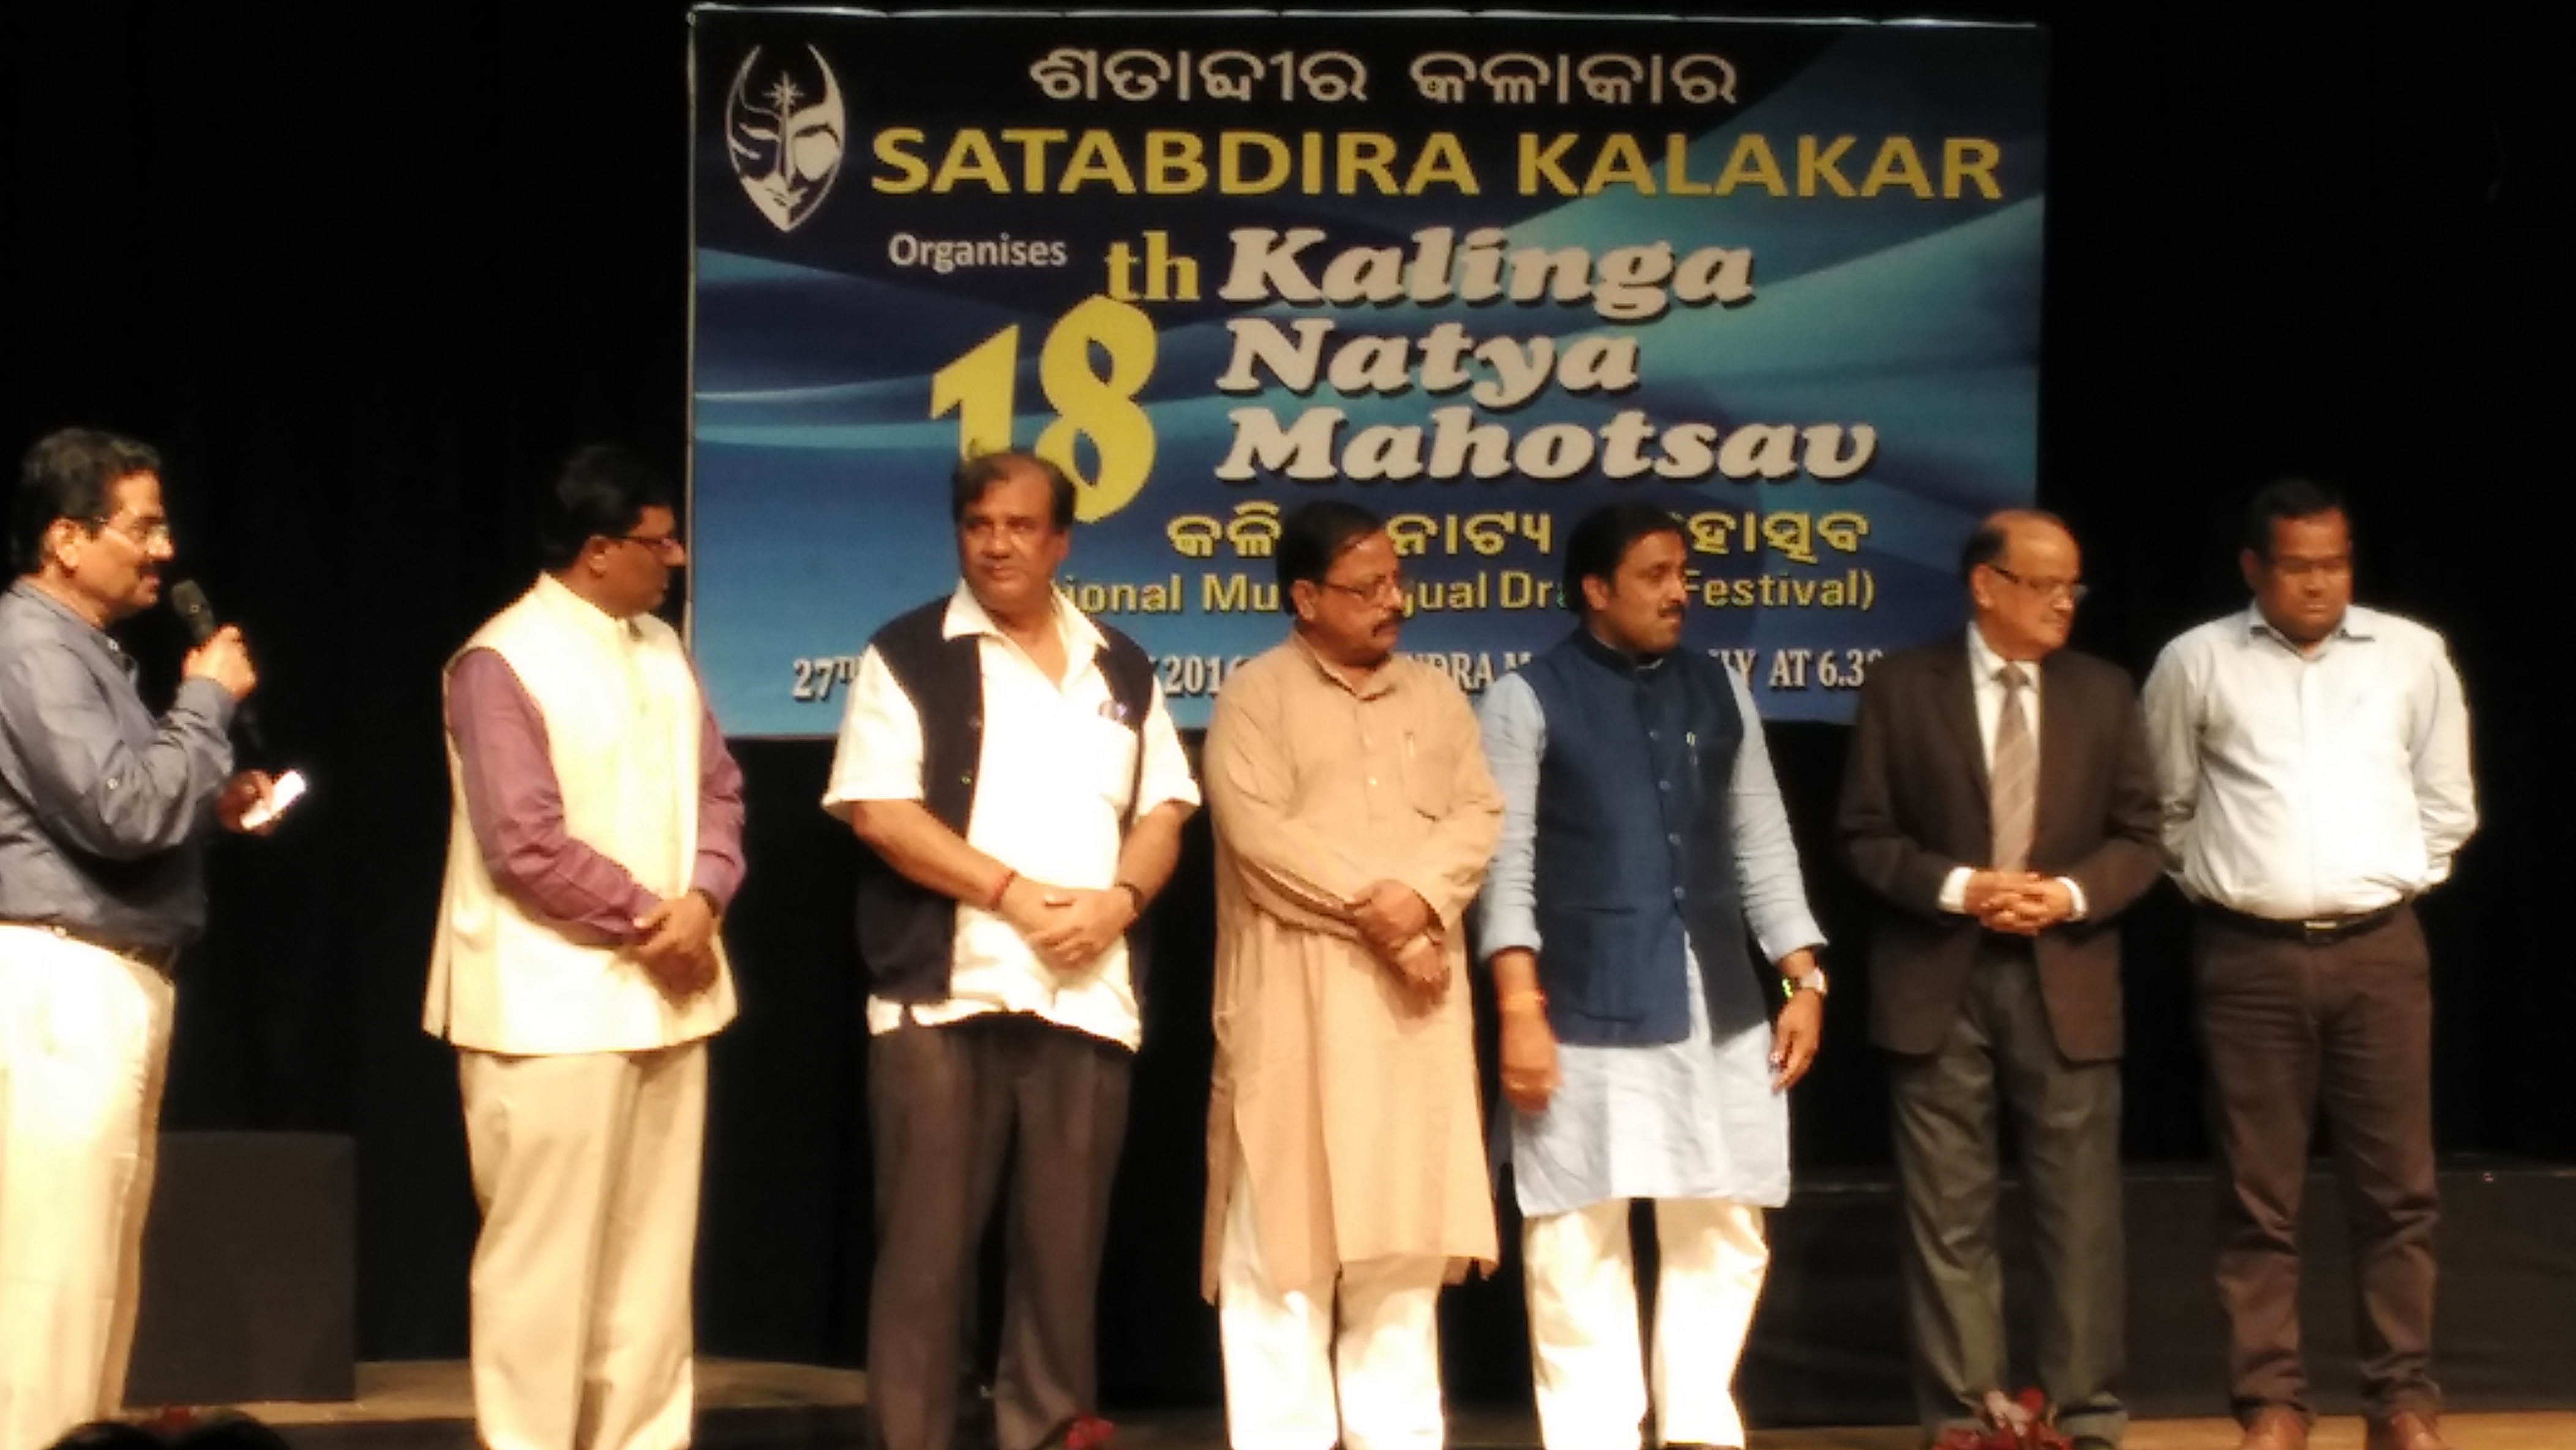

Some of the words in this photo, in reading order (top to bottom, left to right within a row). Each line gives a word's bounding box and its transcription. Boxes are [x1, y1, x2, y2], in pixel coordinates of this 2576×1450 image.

[1024, 36, 1376, 109] ଶତାବ୍ଦୀର
[1403, 42, 1748, 111] କଳାକାର
[861, 122, 1483, 201] SATABDIRA
[1515, 125, 2010, 206] KALAKAR
[883, 224, 1072, 283] Organises
[1103, 220, 1207, 309] th
[1212, 219, 1759, 326] Kalinga
[1210, 306, 1643, 420] Natya
[1207, 394, 1885, 487] Mahotsau
[1384, 498, 1556, 562] ନାଟ୍ଯ
[1679, 501, 1876, 569] ହାସୁବ
[1062, 568, 1186, 620] ional
[1197, 565, 1288, 620] Mu